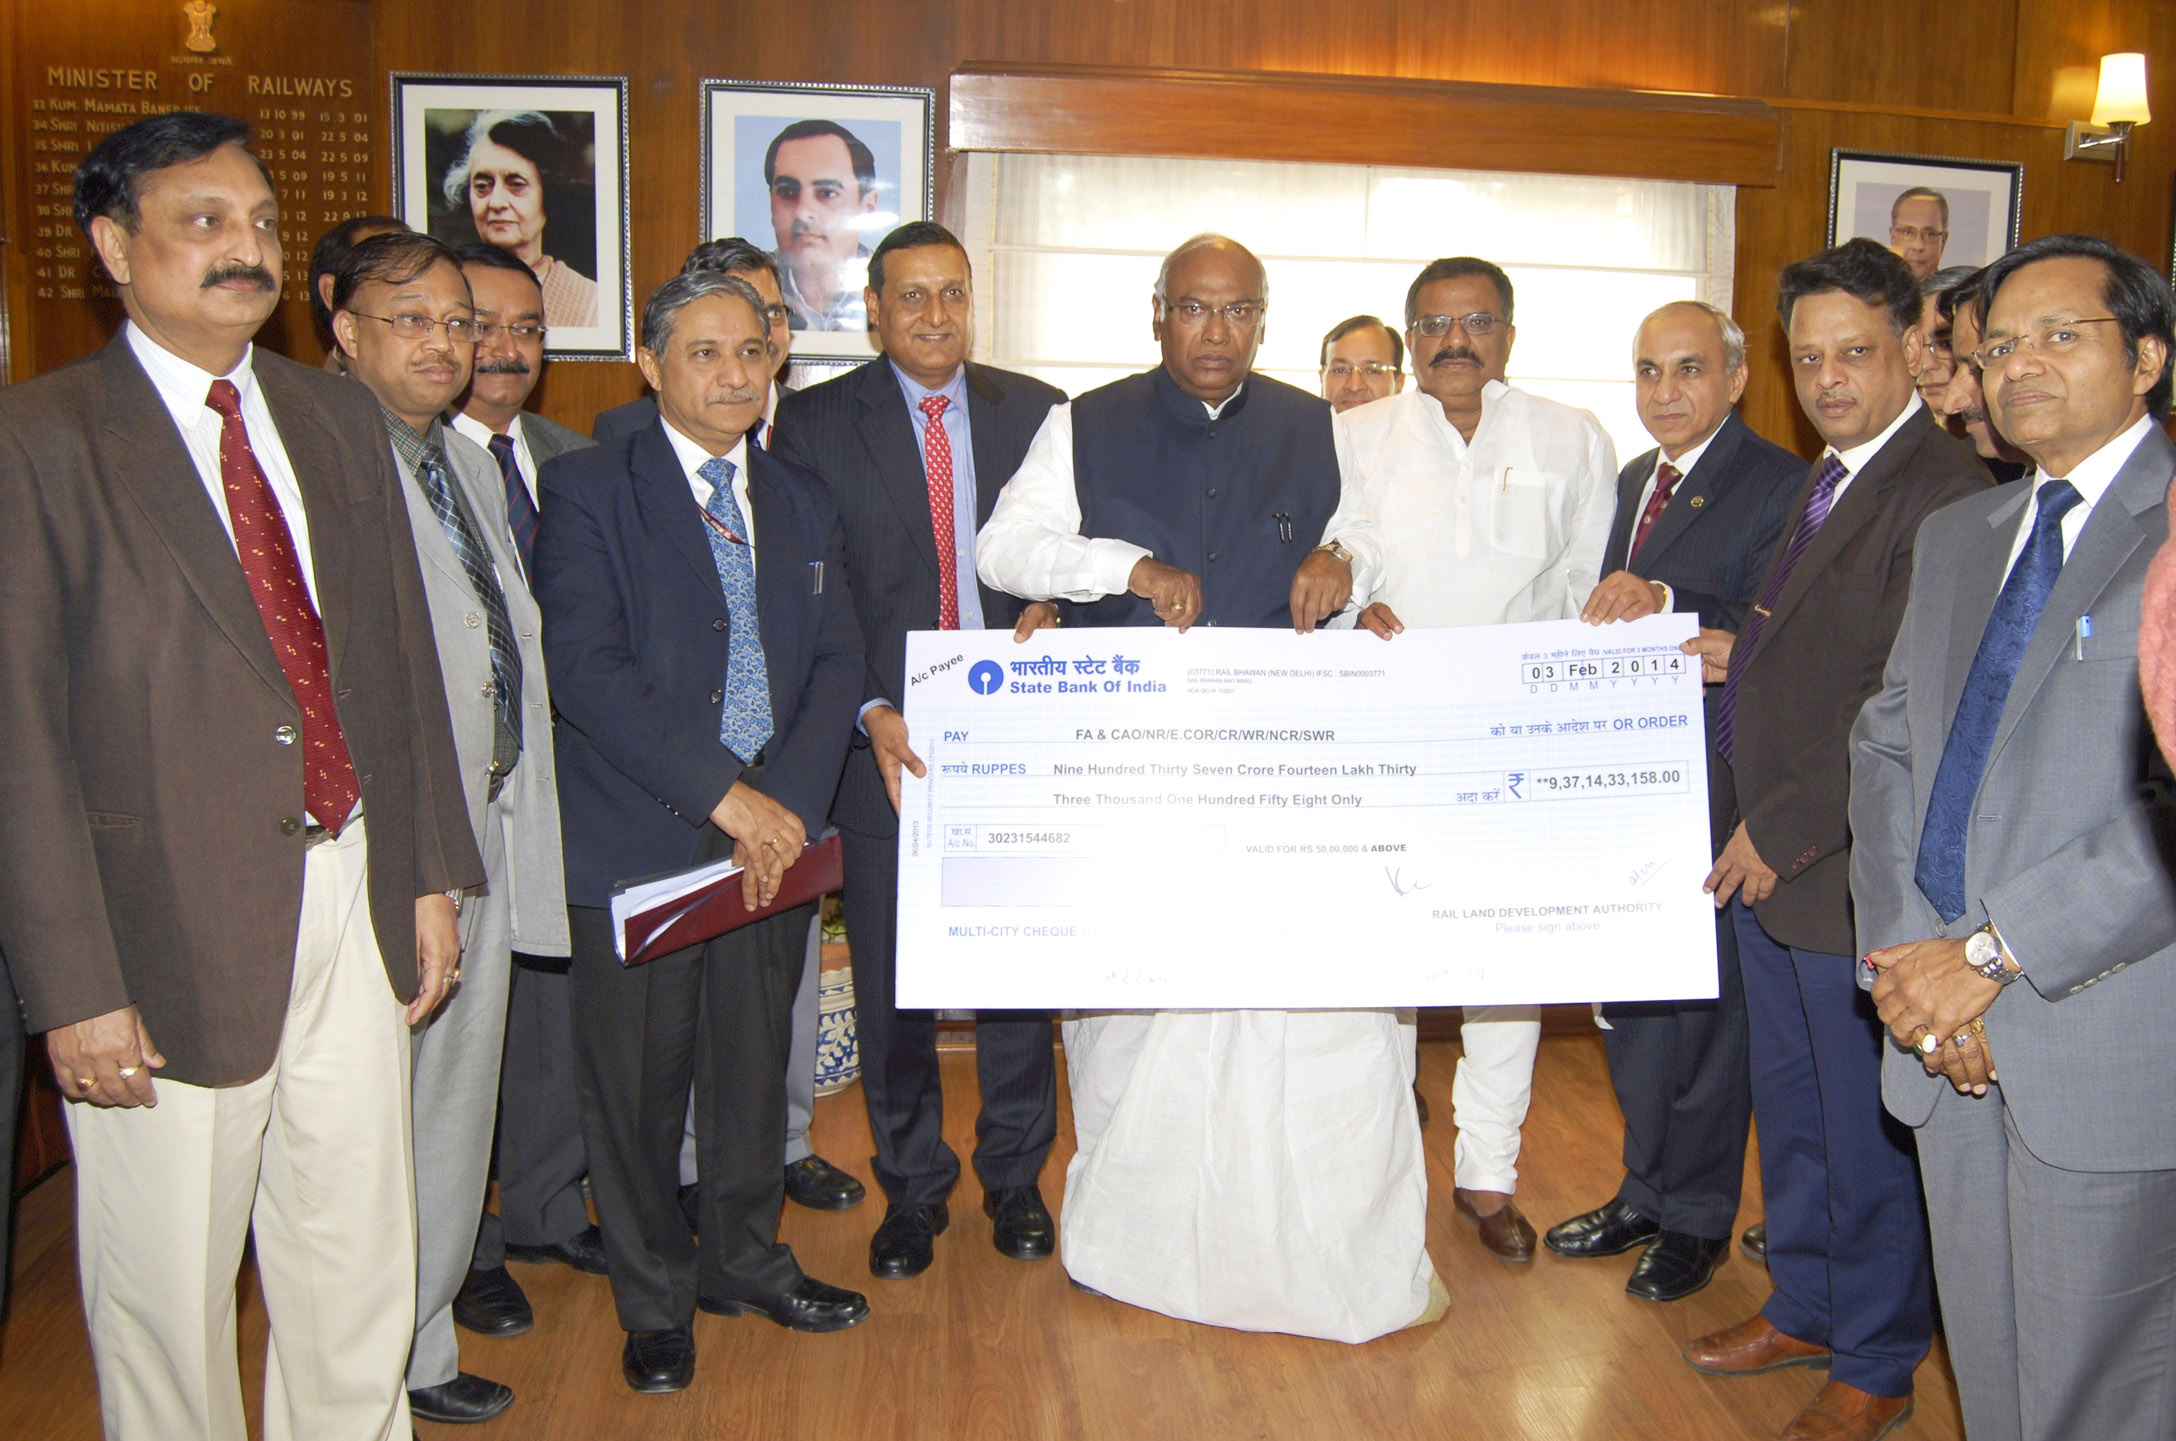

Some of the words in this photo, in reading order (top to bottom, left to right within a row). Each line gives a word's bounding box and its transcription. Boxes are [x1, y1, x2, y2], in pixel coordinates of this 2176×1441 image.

[44, 62, 163, 97] MINISTER
[179, 63, 214, 96] OF
[243, 70, 356, 103] RAILWAYS
[905, 647, 971, 691] A/c Payee
[1004, 649, 1071, 681] भारतीय
[1064, 647, 1112, 681] स्‍टेट
[1102, 649, 1145, 679] बैंक
[1004, 677, 1056, 699] State
[1054, 674, 1103, 699] Bank
[1099, 673, 1123, 700] Of
[1121, 675, 1173, 699] India
[941, 727, 974, 746] PAY
[1072, 724, 1096, 745] FA
[1087, 724, 1112, 747] &
[1109, 723, 1183, 744] CAO/NR/E.
[1180, 721, 1342, 749] COR/CR/WR/NCR/SWR
[1482, 718, 1509, 741] काे
[1505, 719, 1527, 737] या
[1521, 711, 1557, 739] उनके
[1550, 711, 1595, 739] आदेश
[1589, 713, 1610, 734] प‍र
[1607, 715, 1637, 736] OR
[1633, 708, 1694, 733] ORDER
[937, 754, 973, 777] रूपये।
[969, 757, 1030, 781] RUPPES
[1051, 759, 1087, 783] Nine
[1085, 761, 1148, 779] Hundred
[1147, 759, 1191, 783] Thirty
[1187, 757, 1239, 782] Seven
[1231, 759, 1280, 781] Crore
[1275, 759, 1341, 781] Fourteen
[1337, 757, 1381, 782] Lakh
[1377, 755, 1423, 779] Thirty
[1051, 789, 1097, 810] Three
[1090, 789, 1168, 809] Thousand
[1159, 784, 1199, 815] One
[1192, 789, 1261, 811] Hundred
[1255, 787, 1293, 811] Fifty
[1285, 788, 1331, 811] Eight
[1330, 791, 1365, 813] Only
[1451, 789, 1485, 809] अदा
[1476, 780, 1507, 803] करें
[949, 822, 978, 839] खा.म.
[987, 827, 1075, 851] 30231544682
[1428, 905, 1464, 928] RAIL
[1459, 905, 1499, 927] LAND
[1496, 899, 1594, 924] DEVELOPMENT
[1589, 898, 1668, 919] AUTHORITY
[944, 921, 1023, 942] MULTI-CITY
[1021, 922, 1080, 942] ८१६००६